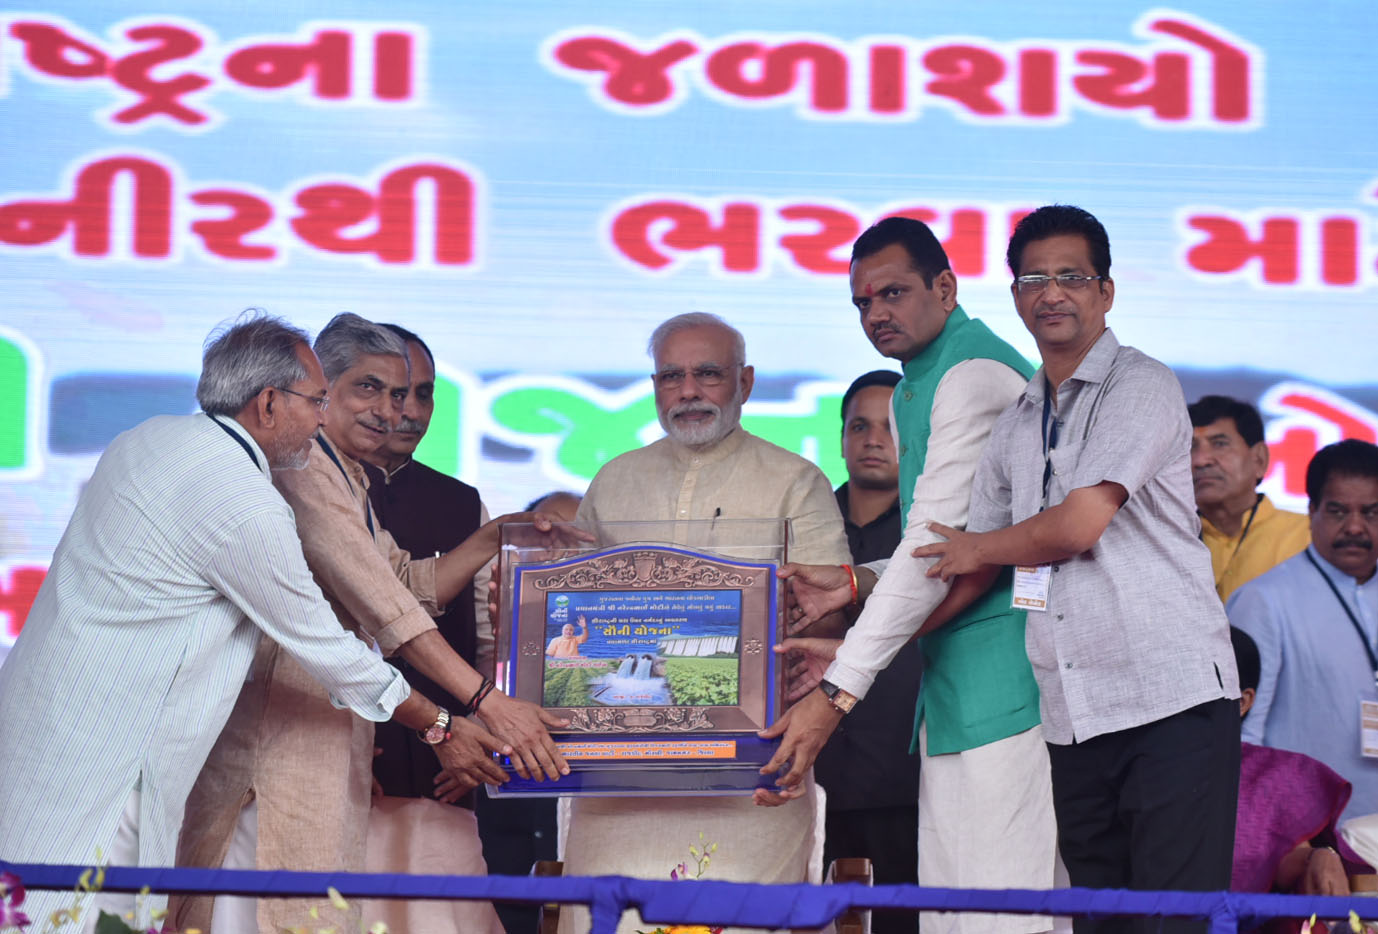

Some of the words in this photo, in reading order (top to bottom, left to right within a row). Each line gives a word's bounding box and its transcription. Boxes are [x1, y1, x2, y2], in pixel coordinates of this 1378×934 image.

[0, 6, 460, 136] ષ્ટ્રના
[532, 2, 1298, 136] જળાશયો
[0, 134, 498, 292] નીરથી
[583, 184, 869, 291] ભર
[1168, 196, 1372, 304] મા
[597, 623, 633, 639] સૌની
[631, 622, 675, 637] યોજના